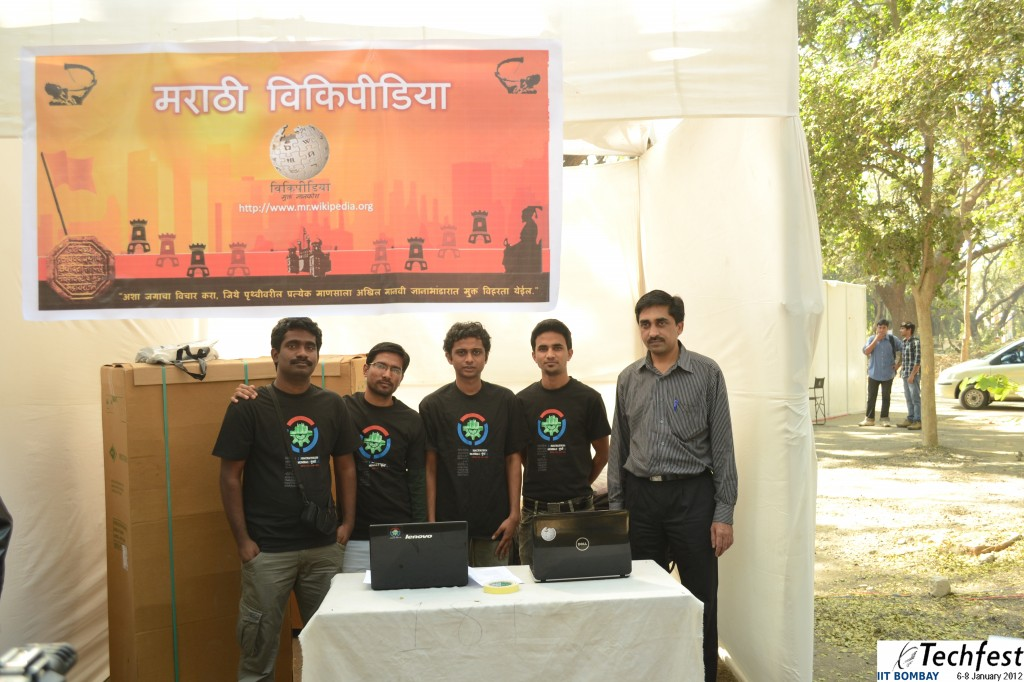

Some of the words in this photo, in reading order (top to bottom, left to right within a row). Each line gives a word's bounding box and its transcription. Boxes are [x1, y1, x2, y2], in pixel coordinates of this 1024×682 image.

[151, 75, 249, 118] मराठी
[257, 69, 453, 116] विकिपीडिया
[263, 175, 335, 194] विकिपीडिया
[236, 199, 379, 217] http://www.mr.wikipedia.org
[117, 289, 144, 305] अशा
[141, 285, 175, 305] जगाचा
[167, 285, 200, 304] विचार
[197, 286, 219, 305] करा.
[215, 281, 243, 302] जिये
[241, 282, 286, 303] पृथ्वीवरील
[280, 282, 314, 302] प्रत्येक
[313, 283, 356, 301] माणसाला
[353, 281, 385, 300] अखिल
[378, 281, 411, 299] मानवी
[405, 279, 465, 301] ज्ञानाभांडारात
[459, 284, 481, 303] मुक्त
[475, 279, 513, 299] विहरता
[506, 277, 538, 301] येईल
[915, 637, 1024, 673] Techfest
[870, 669, 892, 682] IIT
[890, 667, 942, 682] BOMBAY
[953, 668, 1024, 682] 6-8January2012